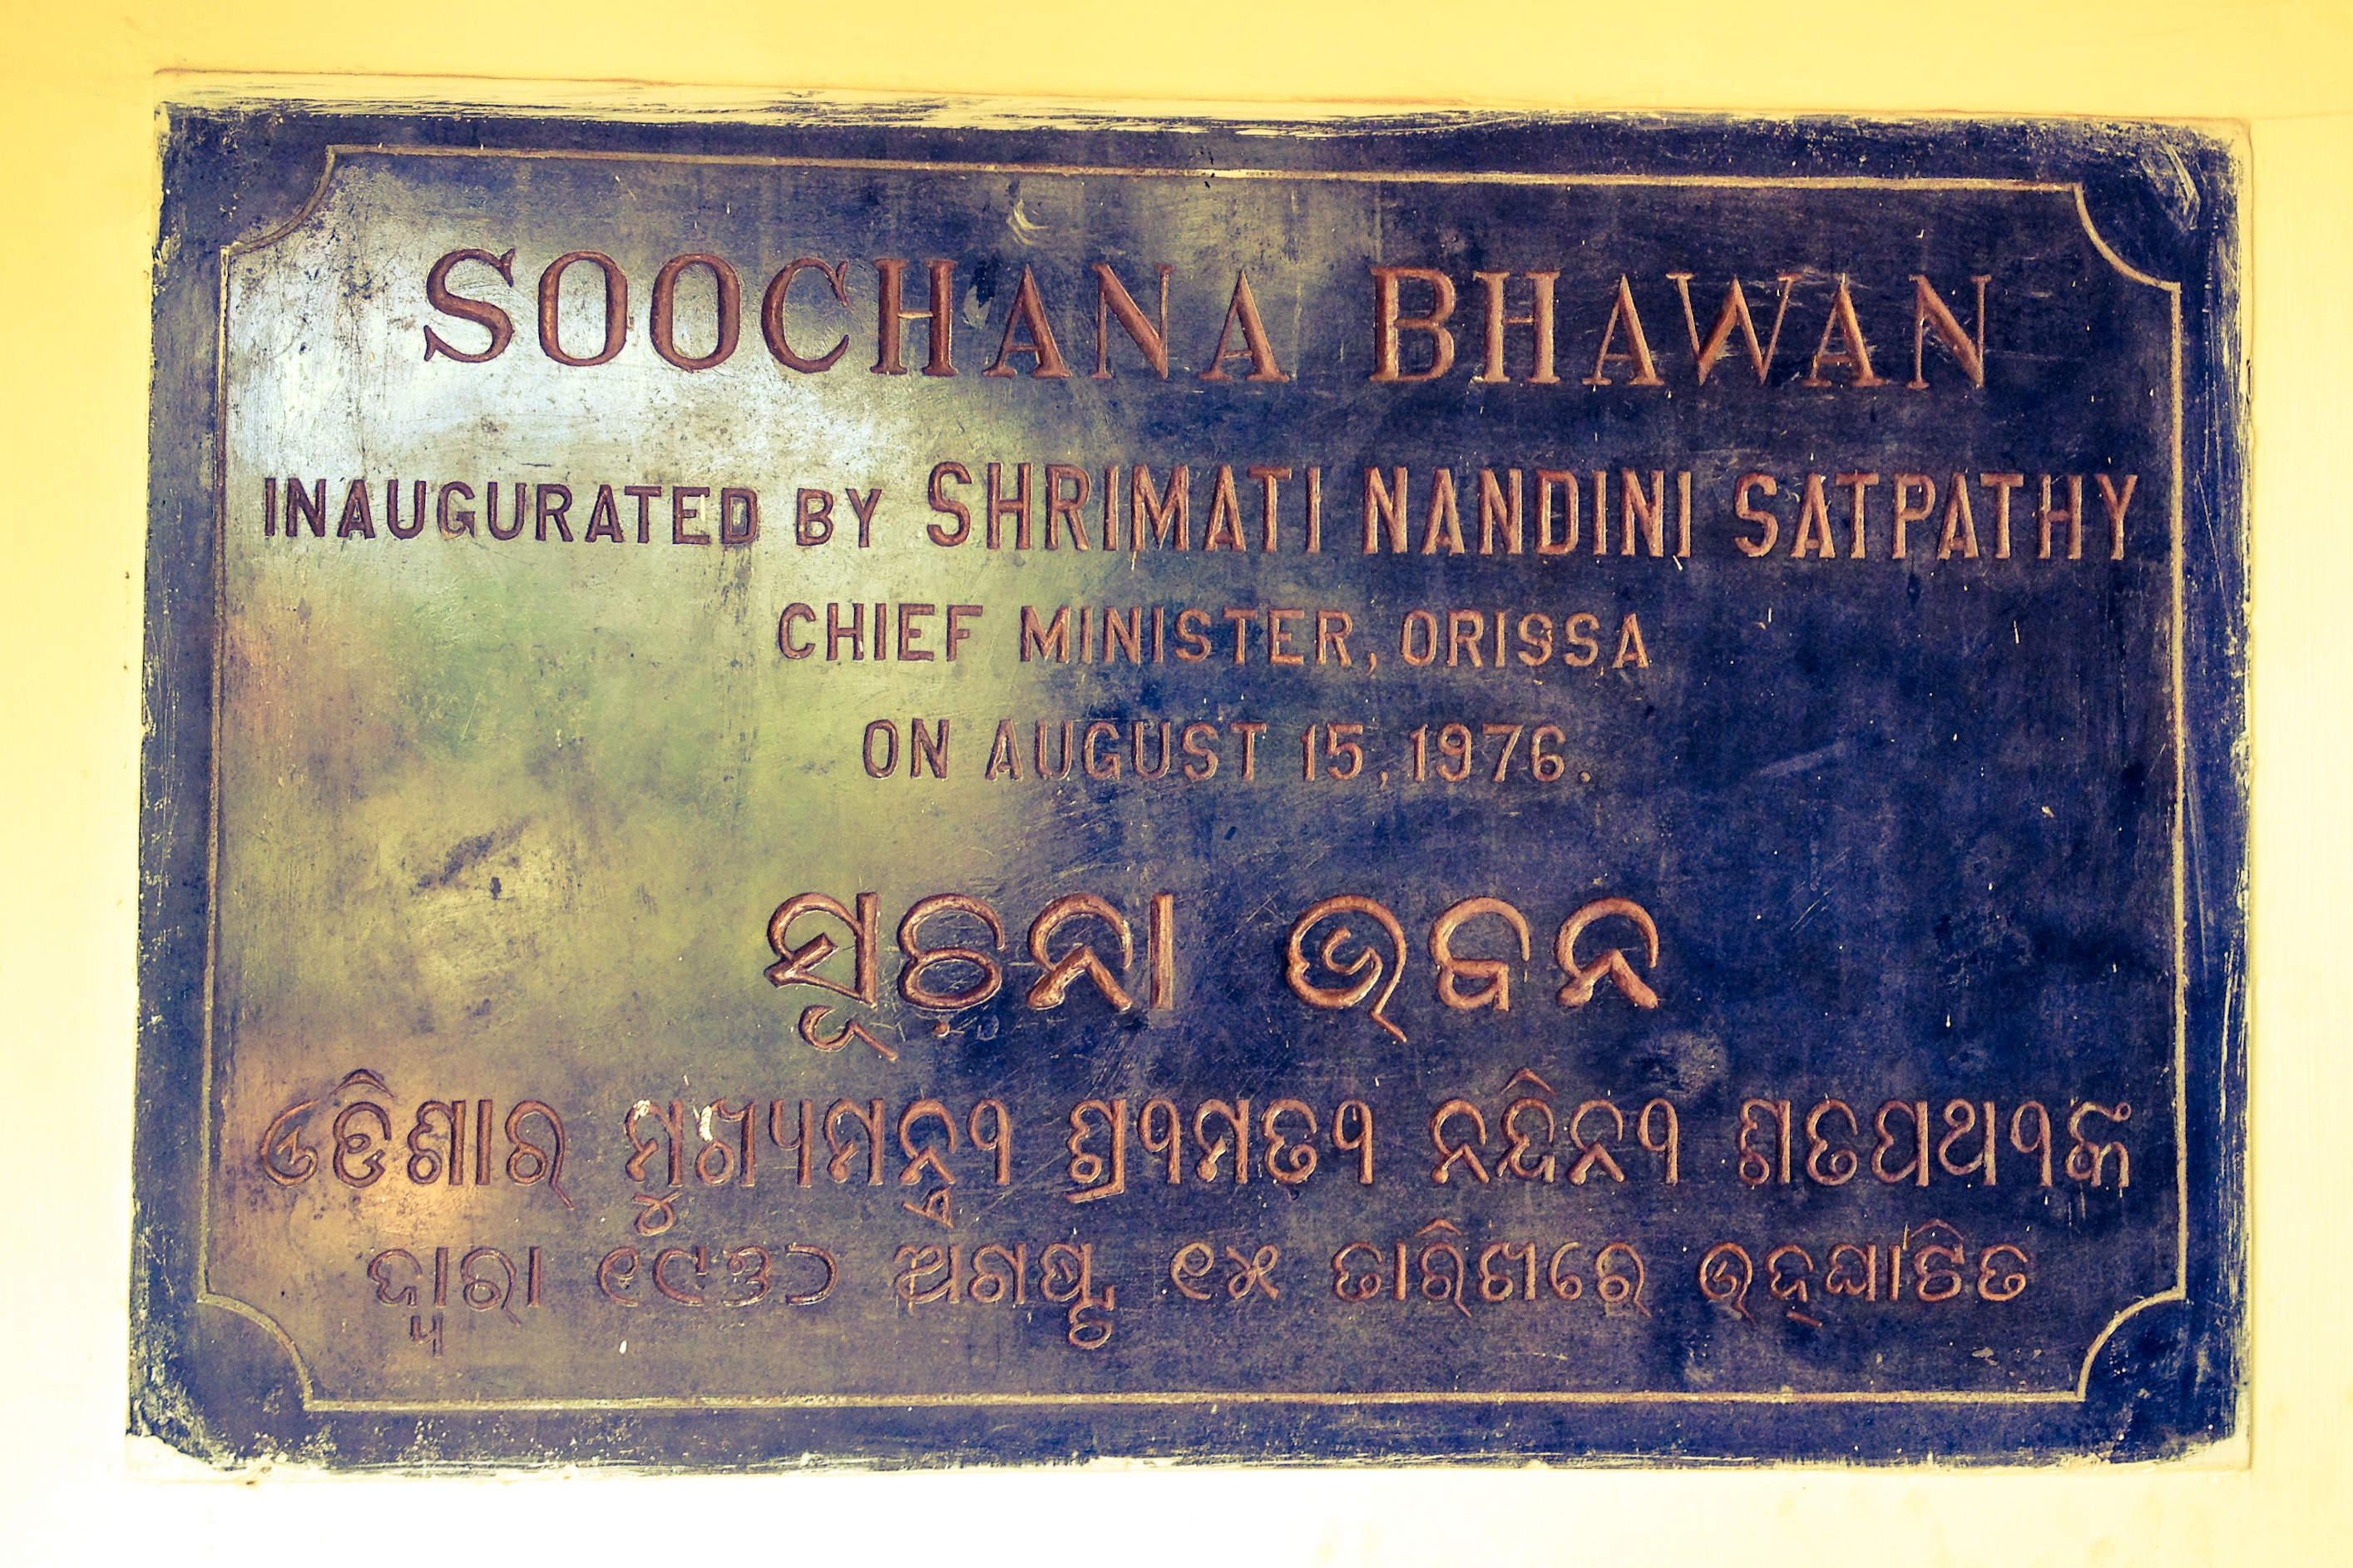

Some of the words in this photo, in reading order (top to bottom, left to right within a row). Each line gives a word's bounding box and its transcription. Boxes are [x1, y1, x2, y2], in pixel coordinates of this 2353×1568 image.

[420, 241, 1293, 385] SOOCHANA
[1362, 260, 1996, 395] BHAWAN
[255, 470, 763, 549] INAUGURATED
[786, 468, 895, 556] BY
[922, 451, 1325, 560] SHRIMATI
[1356, 464, 1694, 564] NANDINI
[1728, 466, 2142, 566] SATPATHY
[771, 596, 983, 667] CHIEF
[1015, 592, 1362, 671] MINISTER
[1397, 605, 1651, 678] ORISSA
[848, 705, 956, 793] ON
[977, 710, 1270, 786] AUGUST
[1290, 707, 1374, 797] 15
[1403, 718, 1569, 790] 1976
[749, 882, 1177, 1067] ସୂଚନା
[1274, 886, 1666, 1051] ଭଜନ
[245, 1056, 576, 1213] ଓଡ଼ିଶାର
[1422, 1058, 1686, 1190] ନନ୍ଦିନୀ
[1728, 1091, 2140, 1196] ଶତପଥ୍ୟଙ୍କ
[356, 1235, 543, 1367] ଦ୍ଵାରା
[585, 1233, 844, 1313] ୧୯୭)
[880, 1227, 1115, 1353] ଅଗଷ୍ଟ
[1162, 1229, 1290, 1314] ୧୫
[1322, 1206, 1653, 1323] ତାରିଖରେ
[1697, 1210, 2031, 1328] ଭଦ‌ଘାଟିତ